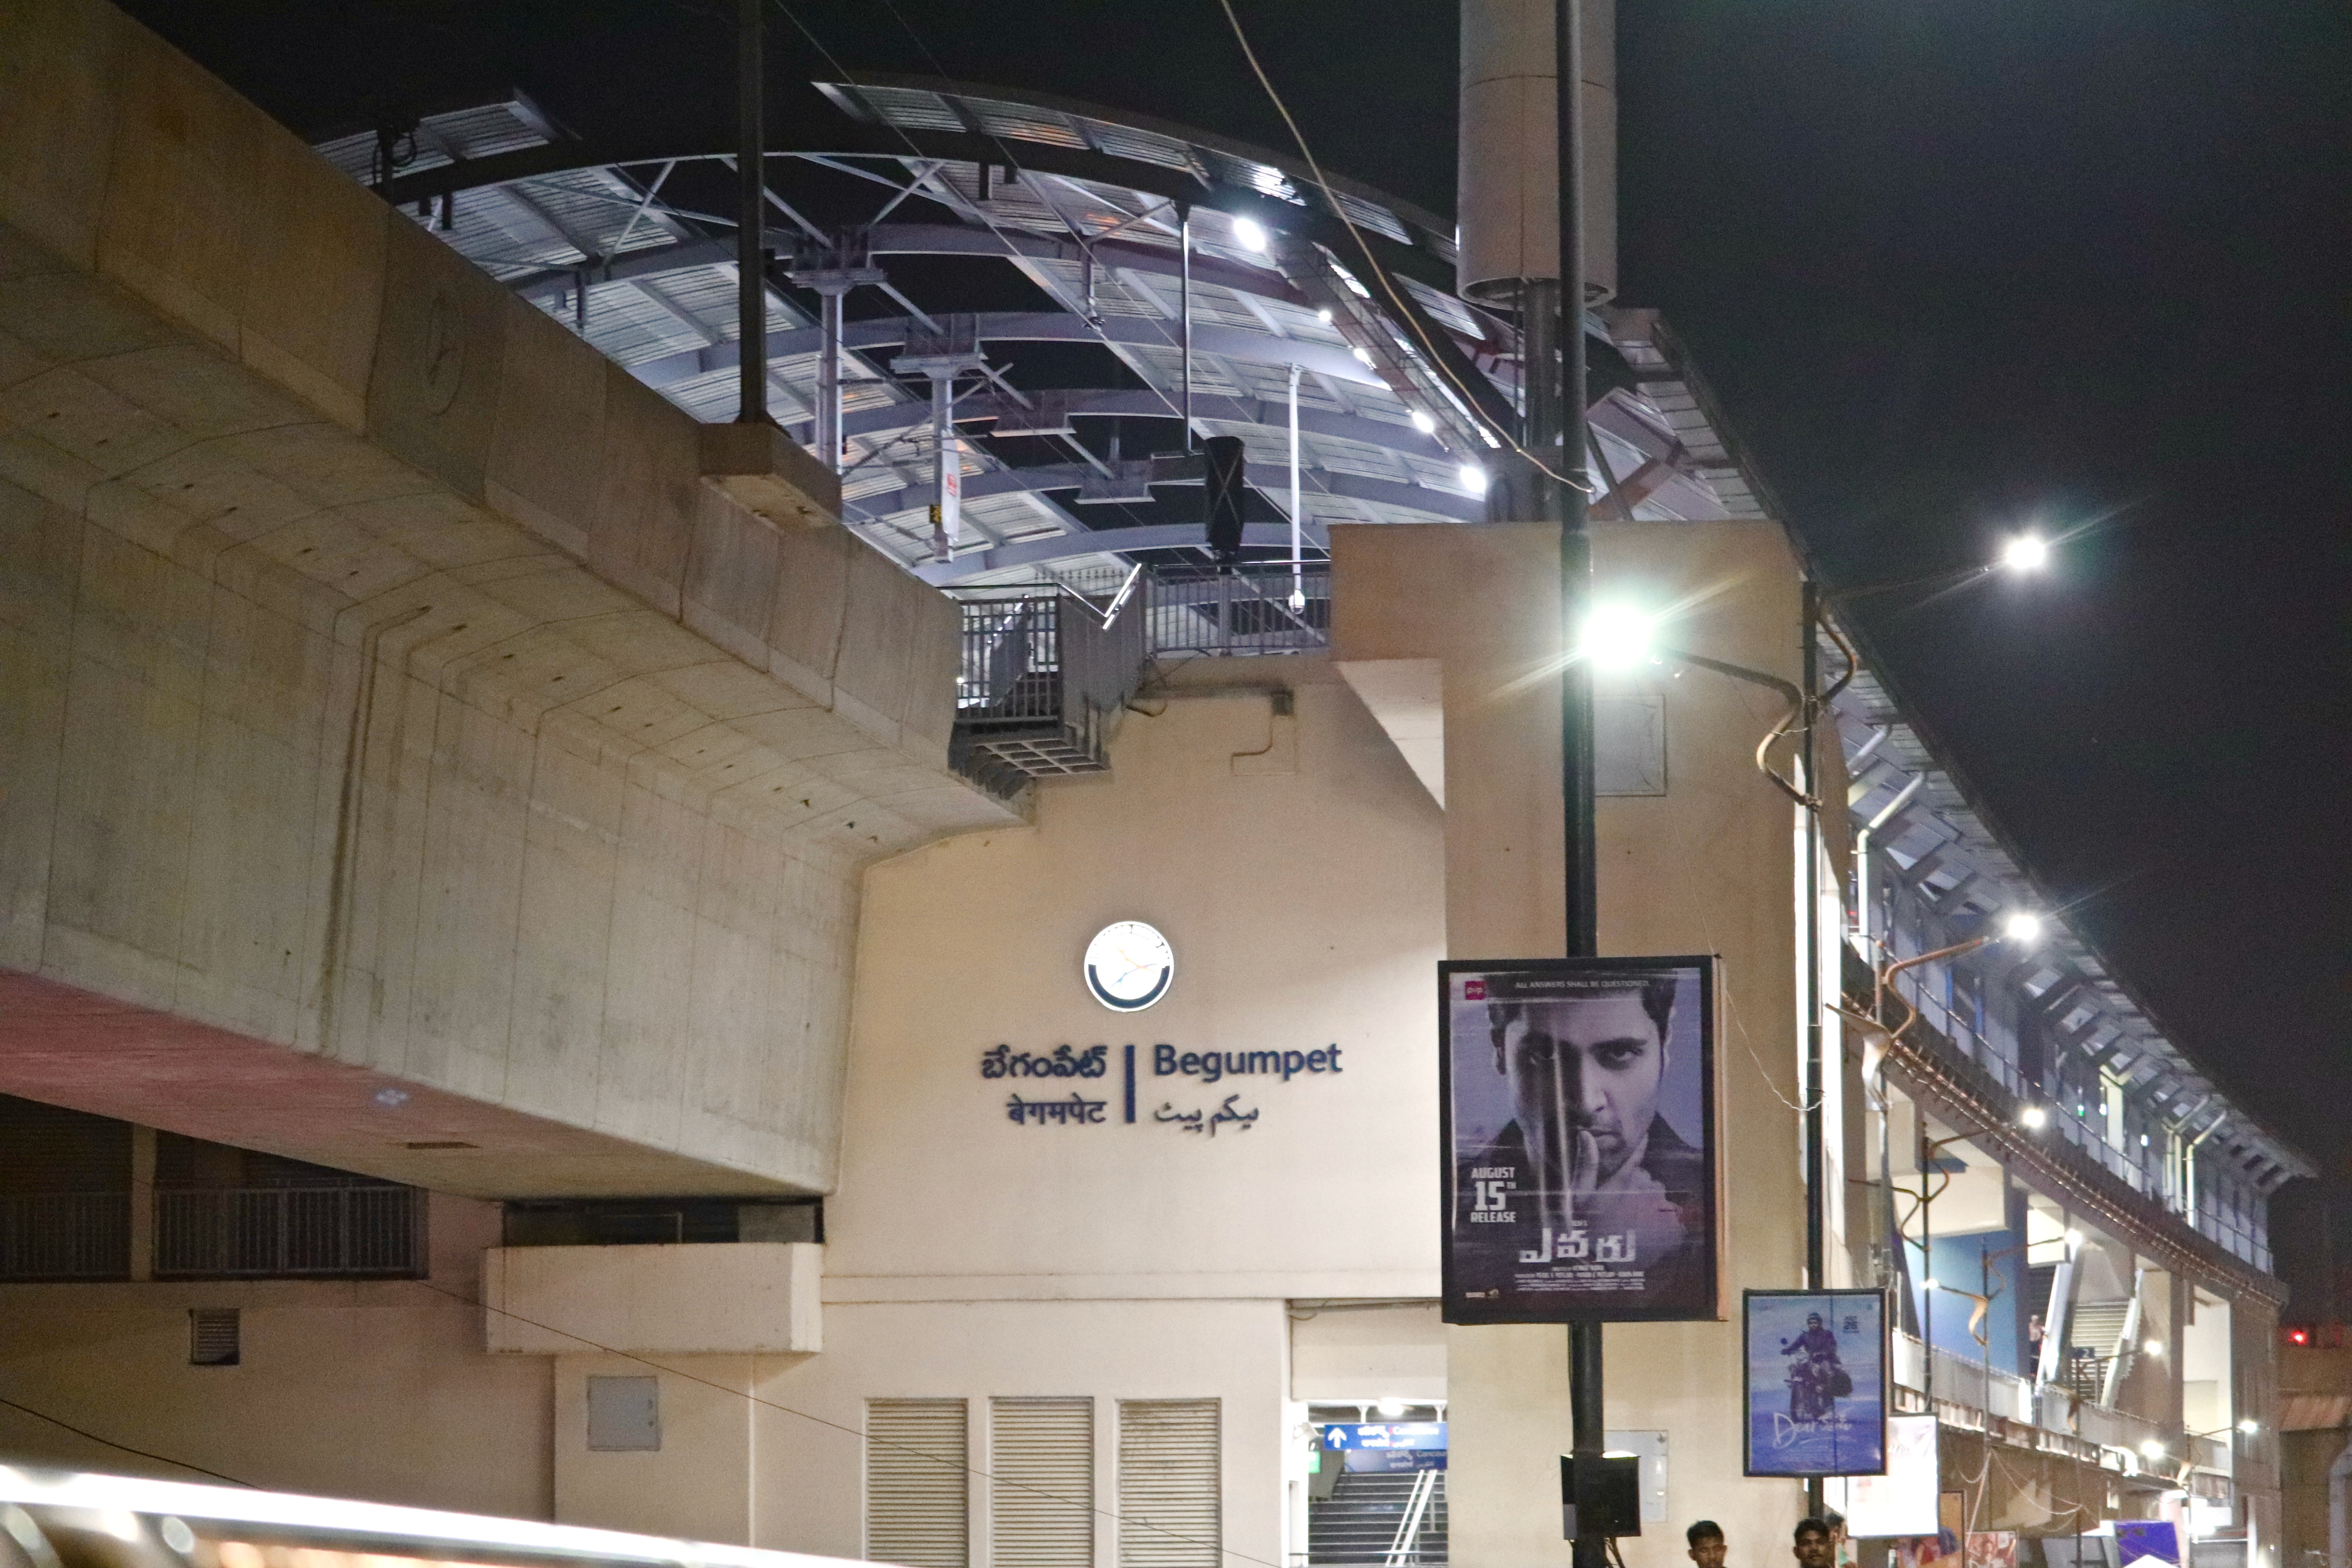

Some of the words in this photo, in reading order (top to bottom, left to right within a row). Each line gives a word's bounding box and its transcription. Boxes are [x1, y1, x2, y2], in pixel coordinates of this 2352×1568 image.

[975, 1039, 1111, 1084] బేగంపేట్
[1149, 1038, 1348, 1087] Begumpet
[1002, 1088, 1109, 1129] बेगमपेट
[1148, 1087, 1261, 1142] بیگم پیٹ